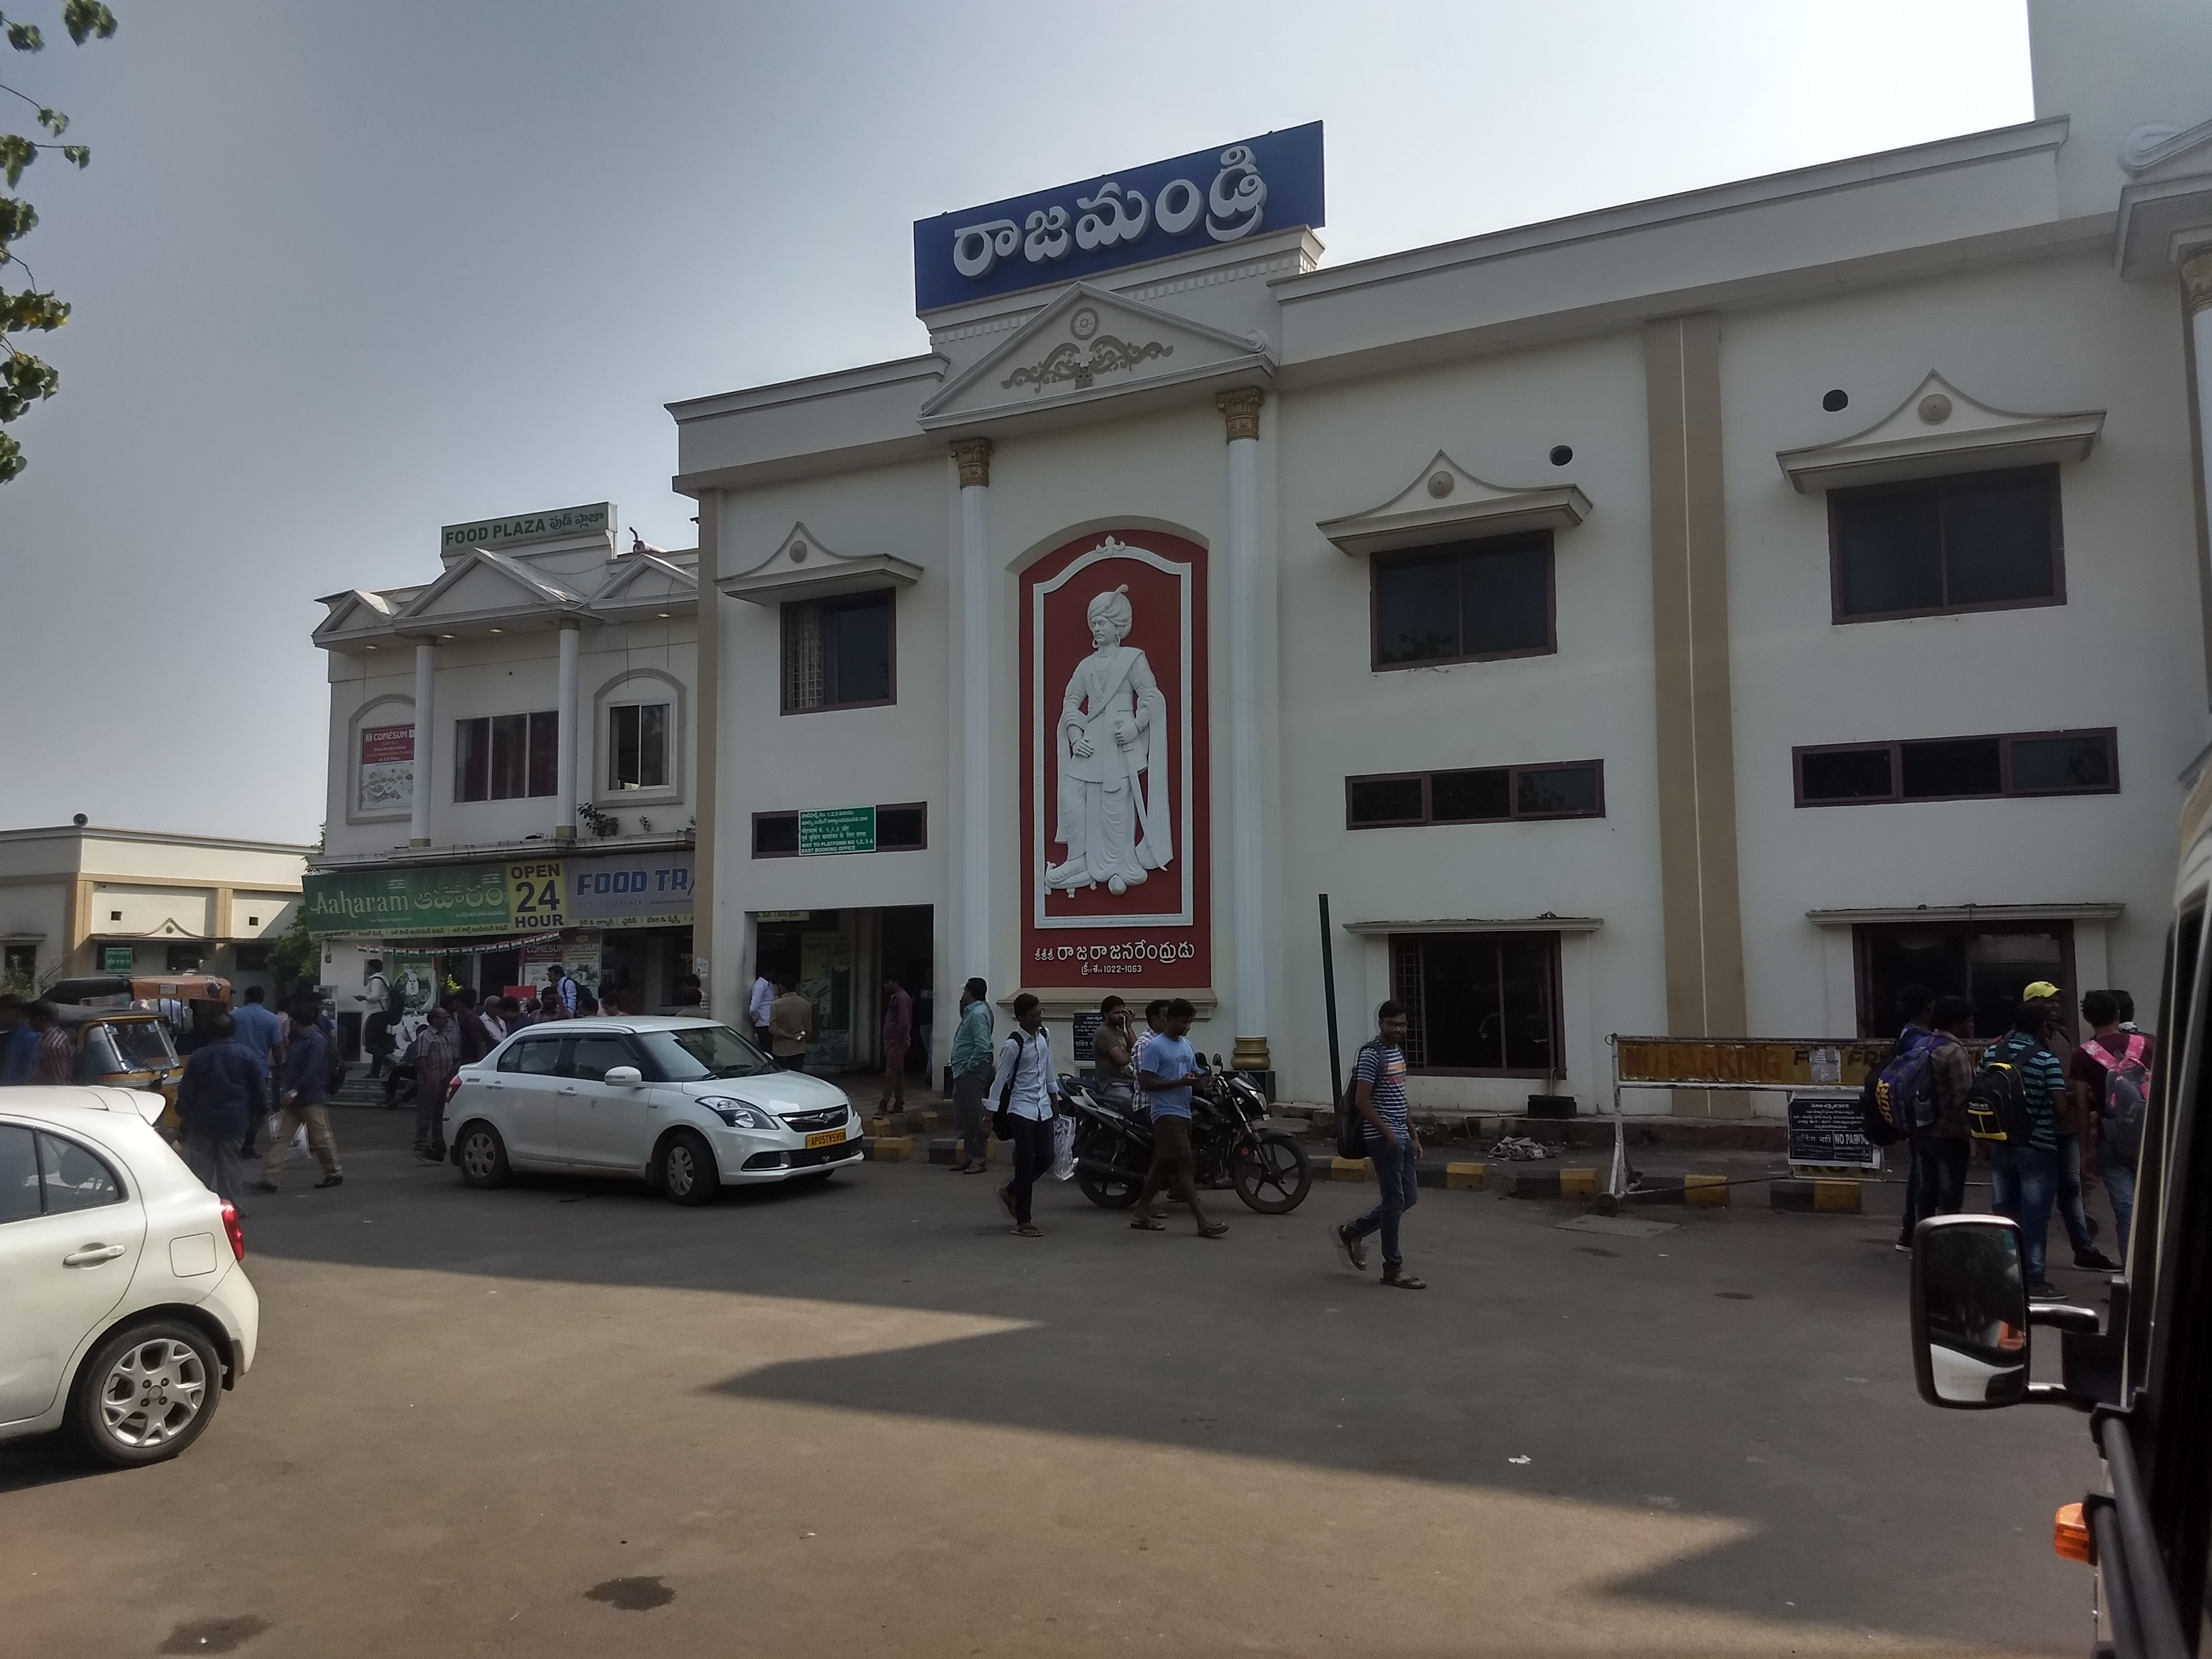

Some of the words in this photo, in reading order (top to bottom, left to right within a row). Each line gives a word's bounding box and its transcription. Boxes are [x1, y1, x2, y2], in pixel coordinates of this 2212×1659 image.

[944, 140, 1273, 284] రాజమండ్రి
[444, 523, 491, 547] FOOD
[491, 516, 548, 541] PLAZA
[546, 510, 574, 534] ఫుడ్
[572, 509, 606, 531] ప్లాజా
[797, 831, 810, 844] पूर्व
[799, 840, 815, 850] WAY
[799, 846, 816, 857] EAST
[798, 824, 826, 835] प्लेटफार्म नं.
[806, 830, 823, 844] बुकिंग
[812, 839, 822, 850] TO
[813, 844, 840, 855] BOOKING
[821, 829, 840, 842] कार्यालय
[820, 836, 849, 849] PLATFORM
[825, 821, 852, 837] १,२,३ और
[837, 828, 845, 842] के
[836, 844, 859, 853] OFFICE
[843, 827, 858, 841] लिए
[845, 838, 857, 849] NO
[854, 830, 870, 840] रास्ता
[854, 836, 875, 846] 1,2,3&
[507, 861, 562, 881] OPEN
[577, 868, 648, 897] FOOD
[308, 888, 411, 921] Aaharam
[412, 882, 506, 912] ఆహారం
[512, 877, 562, 916] 24
[513, 911, 566, 930] HOUR
[575, 915, 596, 929] రైస &
[644, 911, 683, 927] దేవం & స్నేక్స్
[1033, 944, 1057, 963] శ్రీశ్రీశ్రీ
[1056, 936, 1197, 967] రాజరాజనరేంద్రుడు
[1075, 956, 1145, 978] క్రీ॥శ॥ 1022-1063
[1794, 1131, 1818, 1144] पार्किंग
[1817, 1131, 1834, 1145] नहीं।
[1831, 1132, 1846, 1148] NO
[1844, 1130, 1873, 1148] PARKING